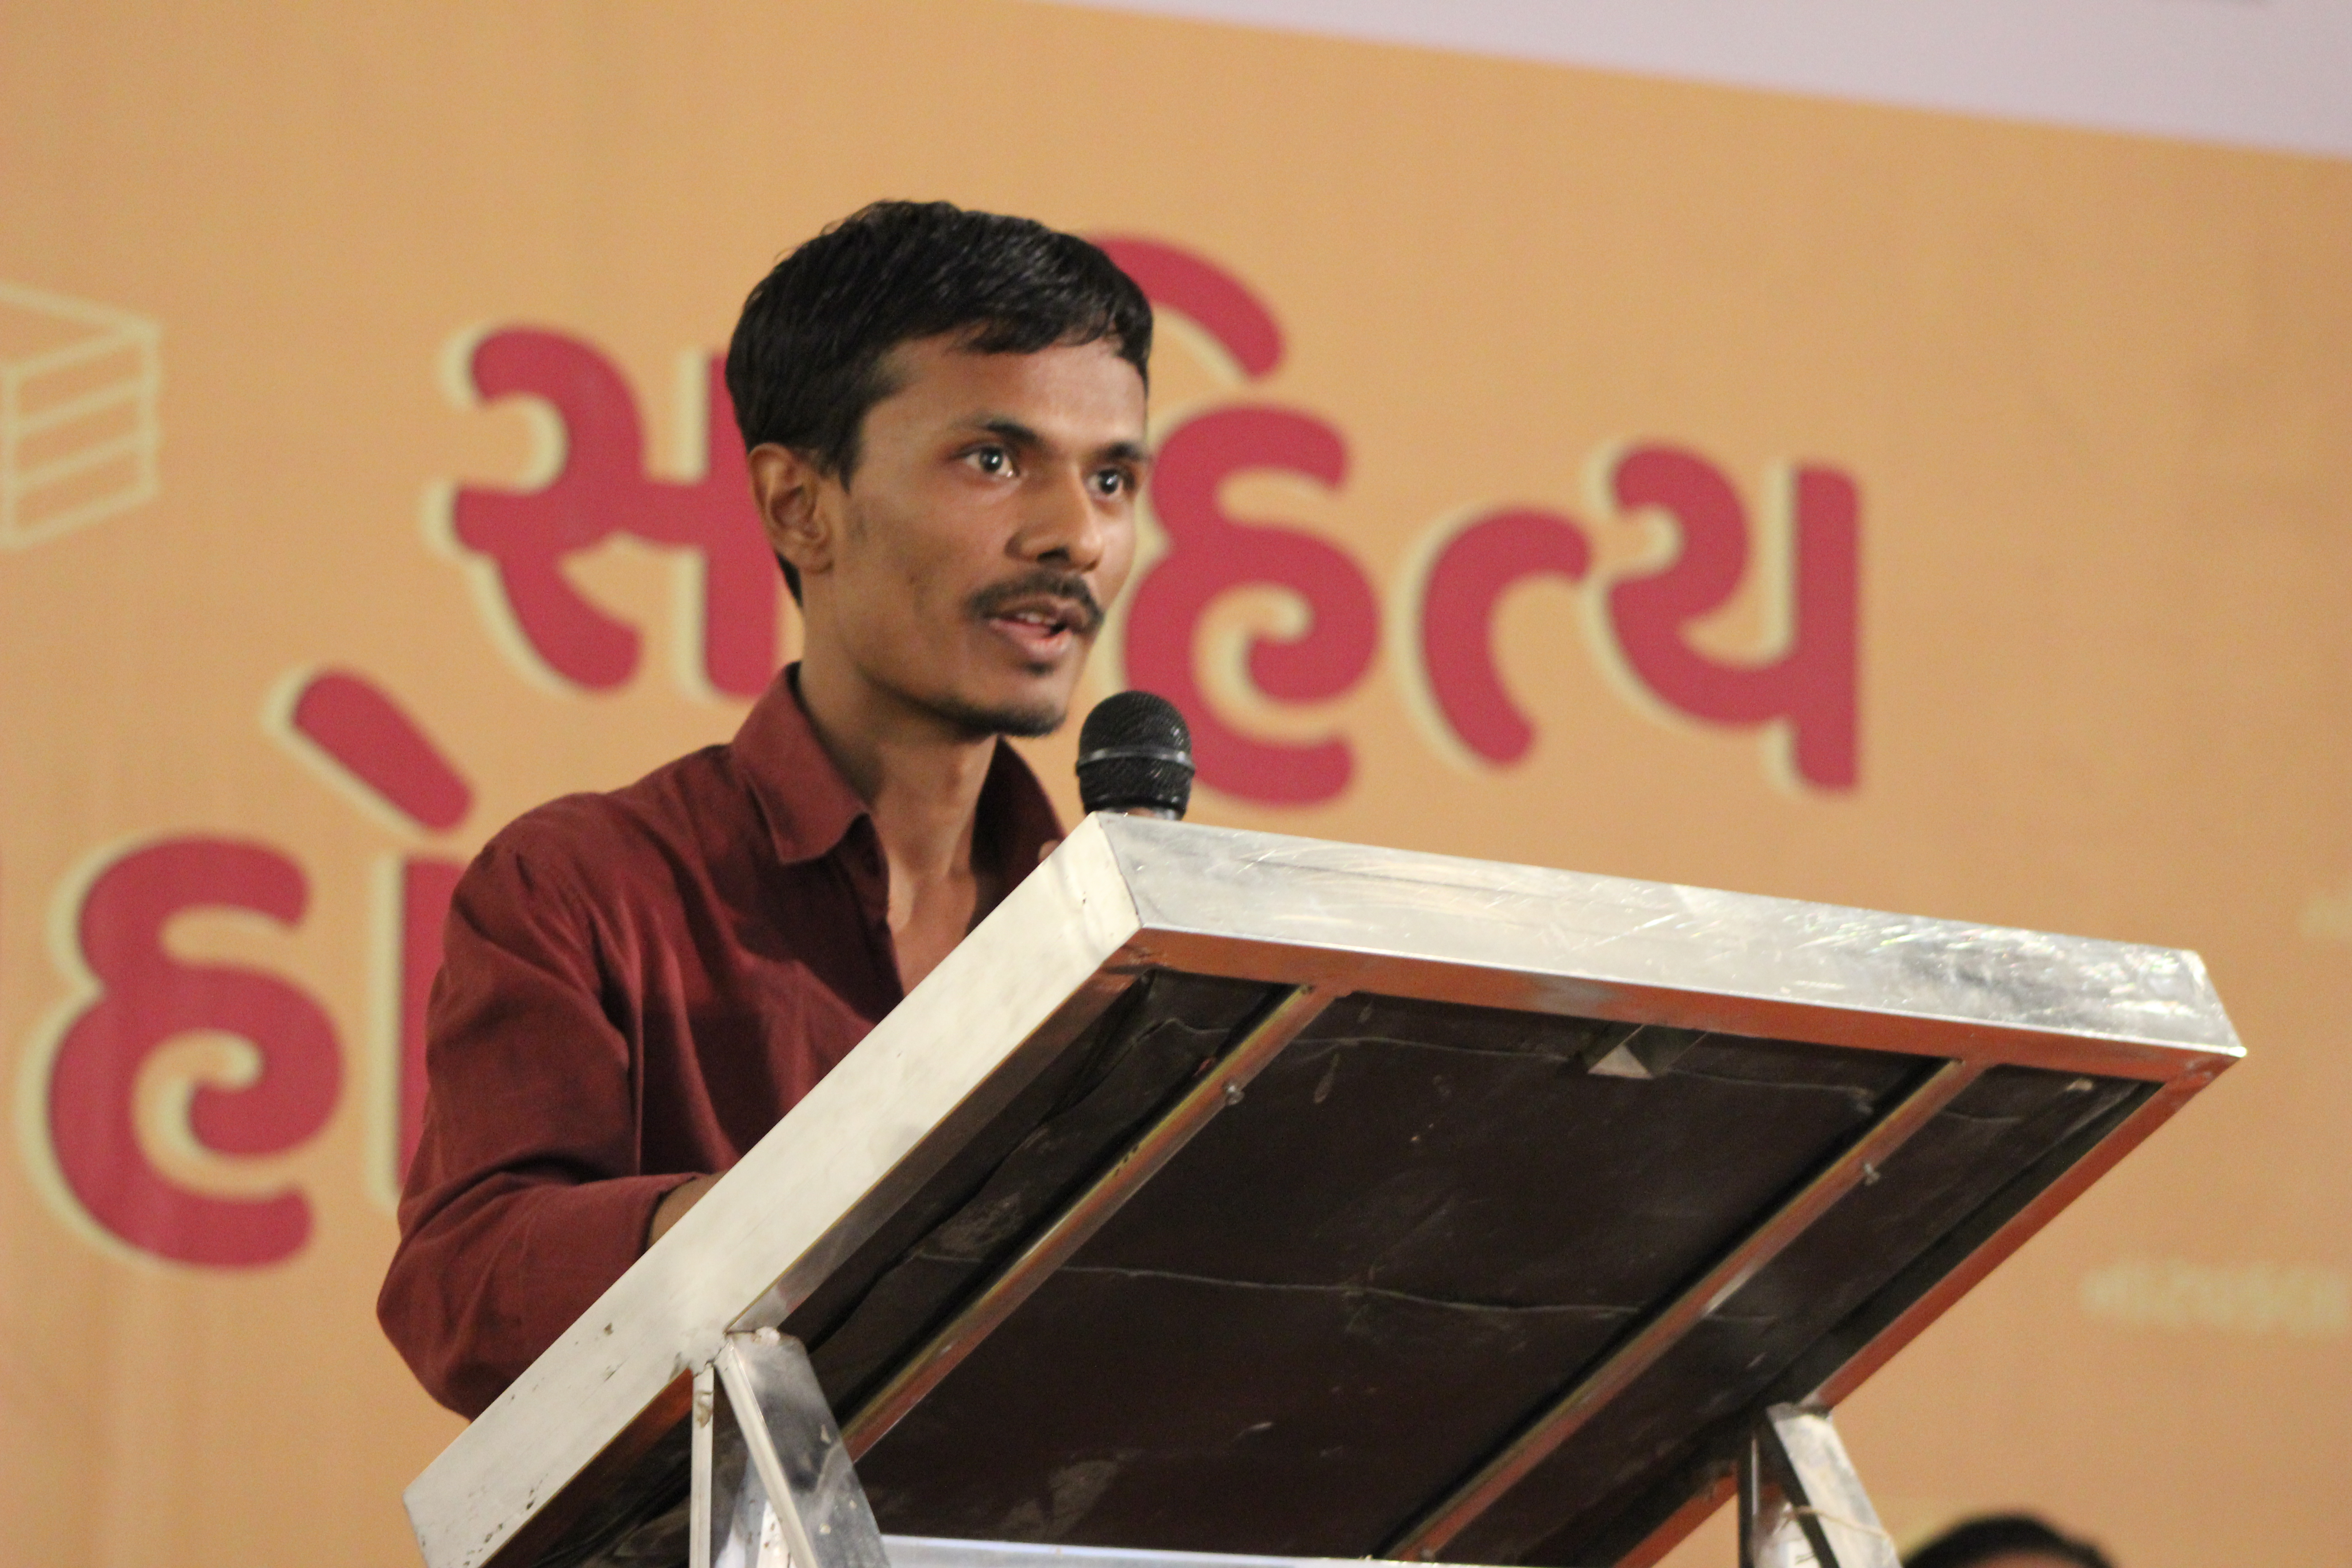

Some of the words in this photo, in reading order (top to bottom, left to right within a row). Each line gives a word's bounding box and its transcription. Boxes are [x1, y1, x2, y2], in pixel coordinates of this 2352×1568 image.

[414, 311, 790, 707] સ
[1071, 225, 1878, 817] હેત્ય
[7, 651, 499, 1290] હો